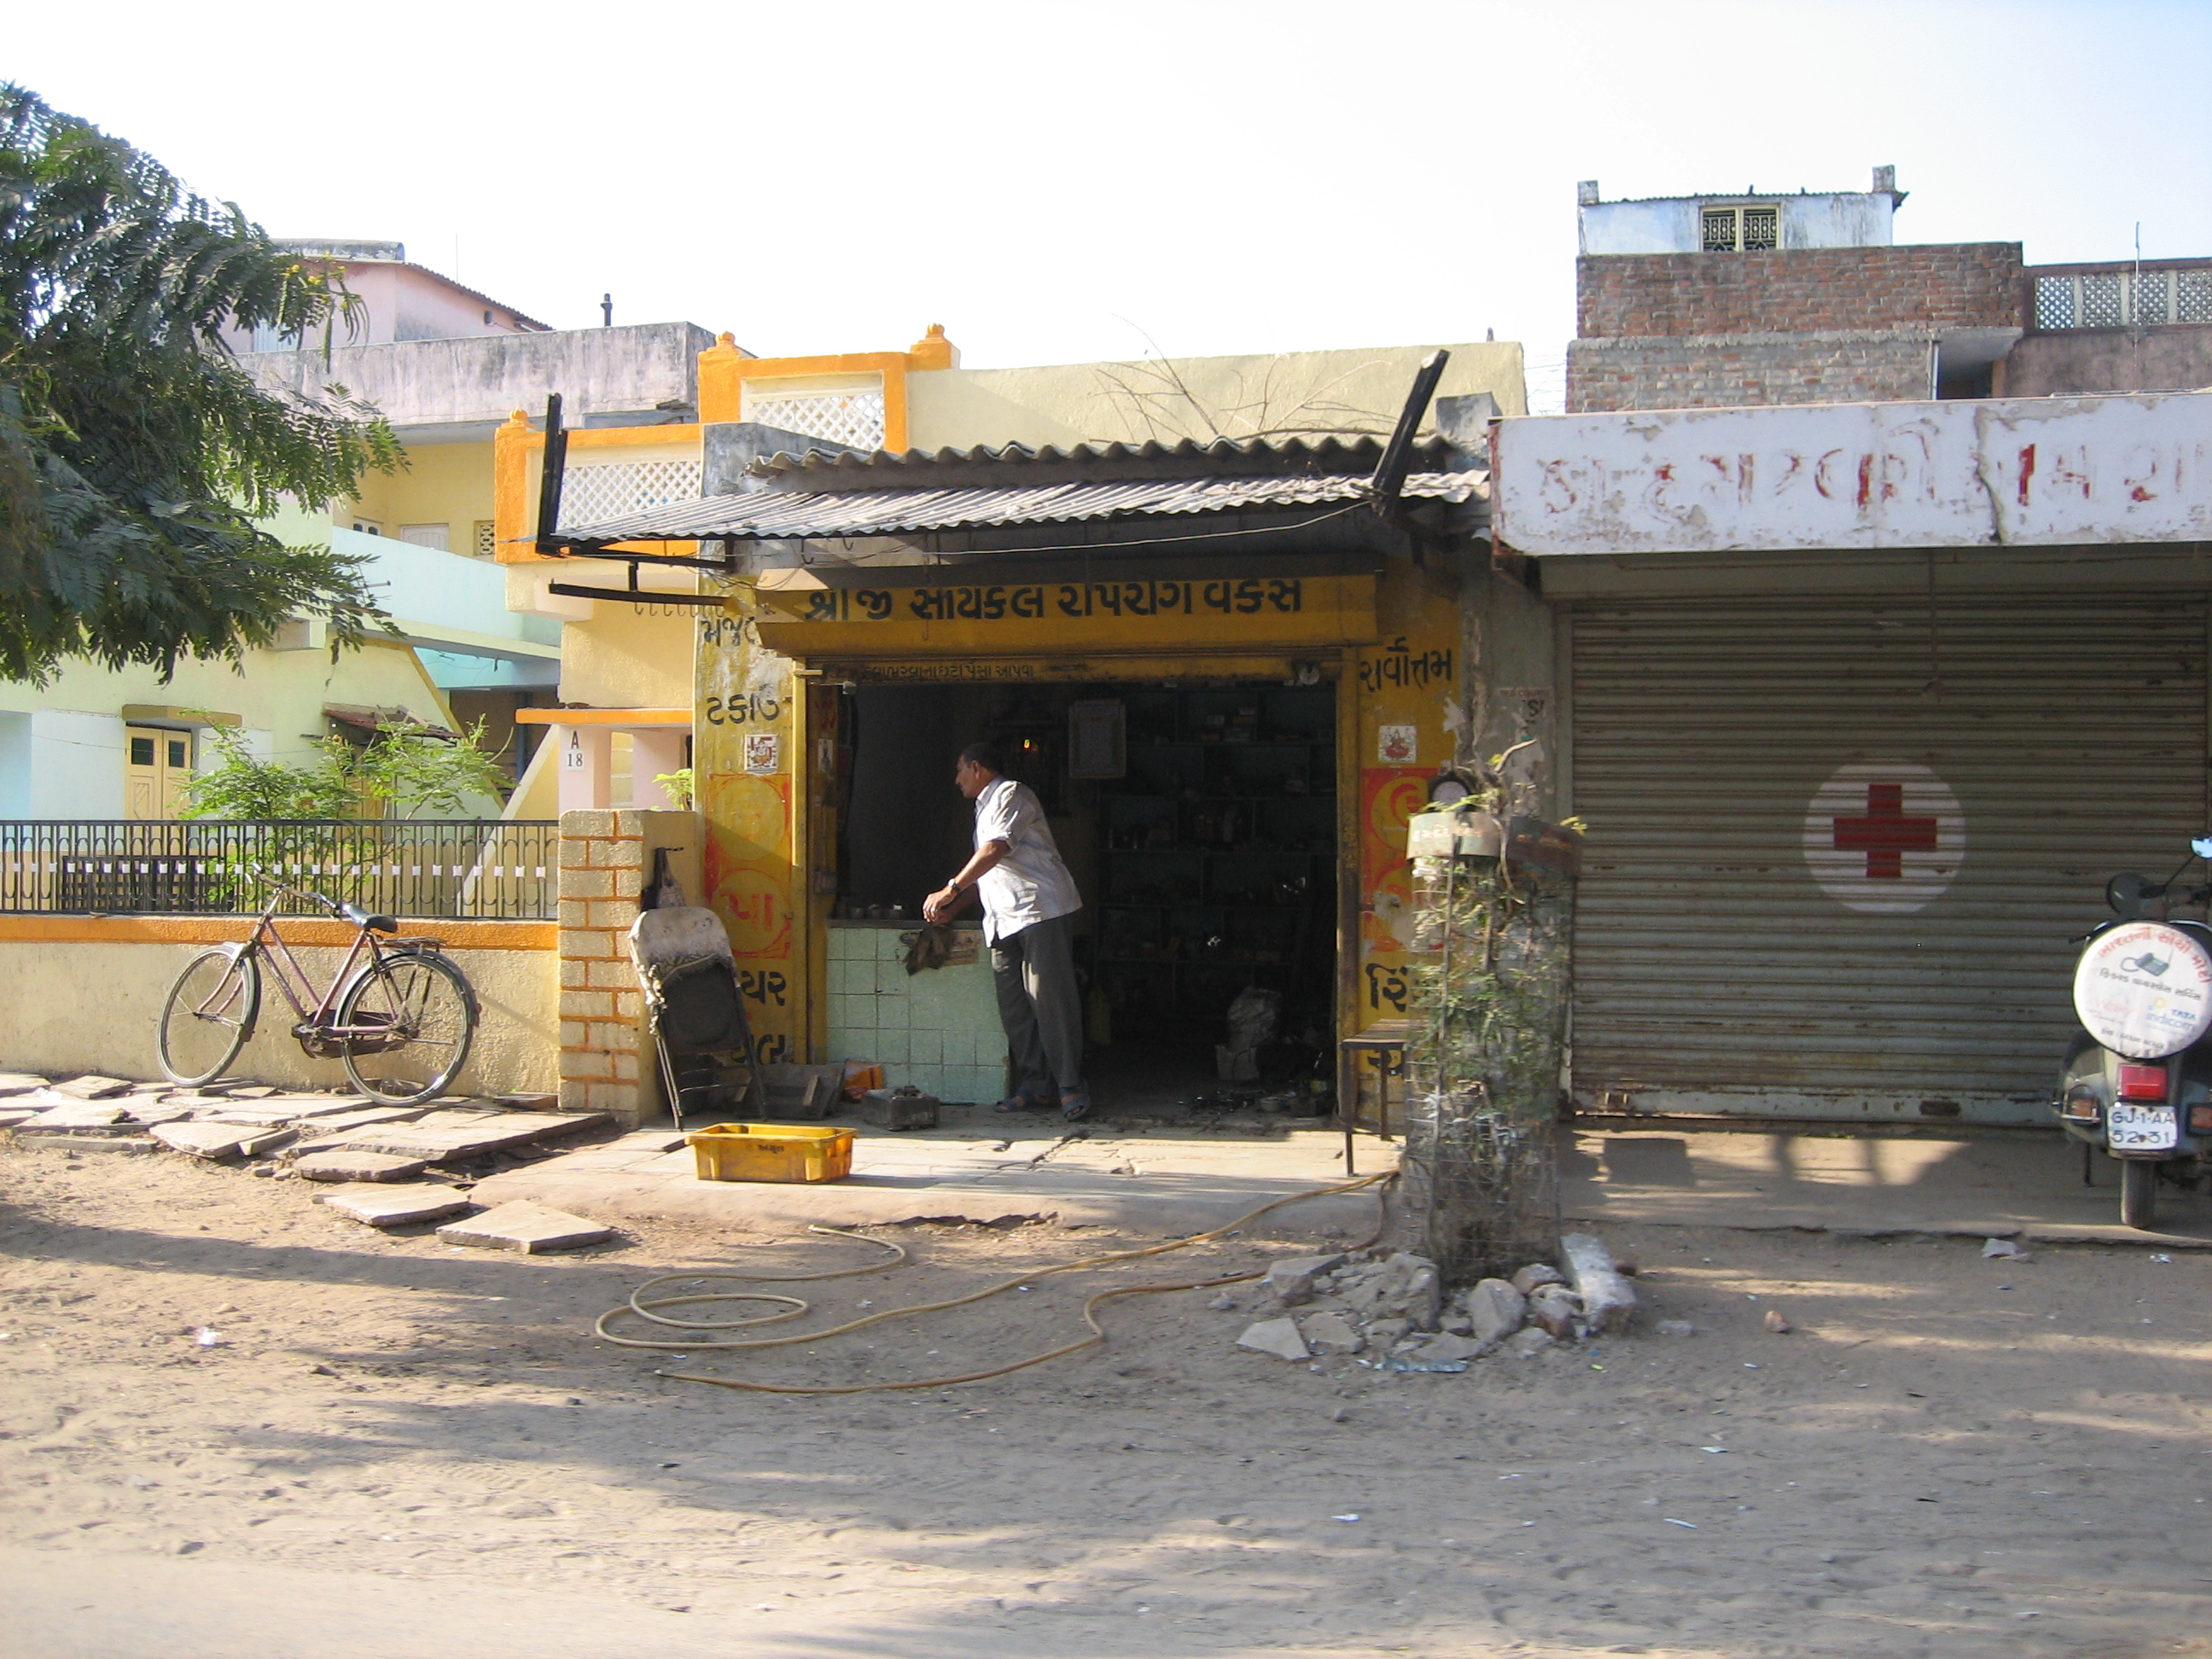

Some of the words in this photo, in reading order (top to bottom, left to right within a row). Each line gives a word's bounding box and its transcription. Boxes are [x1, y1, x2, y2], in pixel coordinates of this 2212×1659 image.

[814, 584, 896, 622] શ્રીજી
[910, 579, 1048, 625] સાયકલ
[1055, 575, 1197, 620] ૨ા૫૨ાગ
[1197, 573, 1300, 620] વકસ
[1351, 640, 1454, 692] સર્વોત્તમ